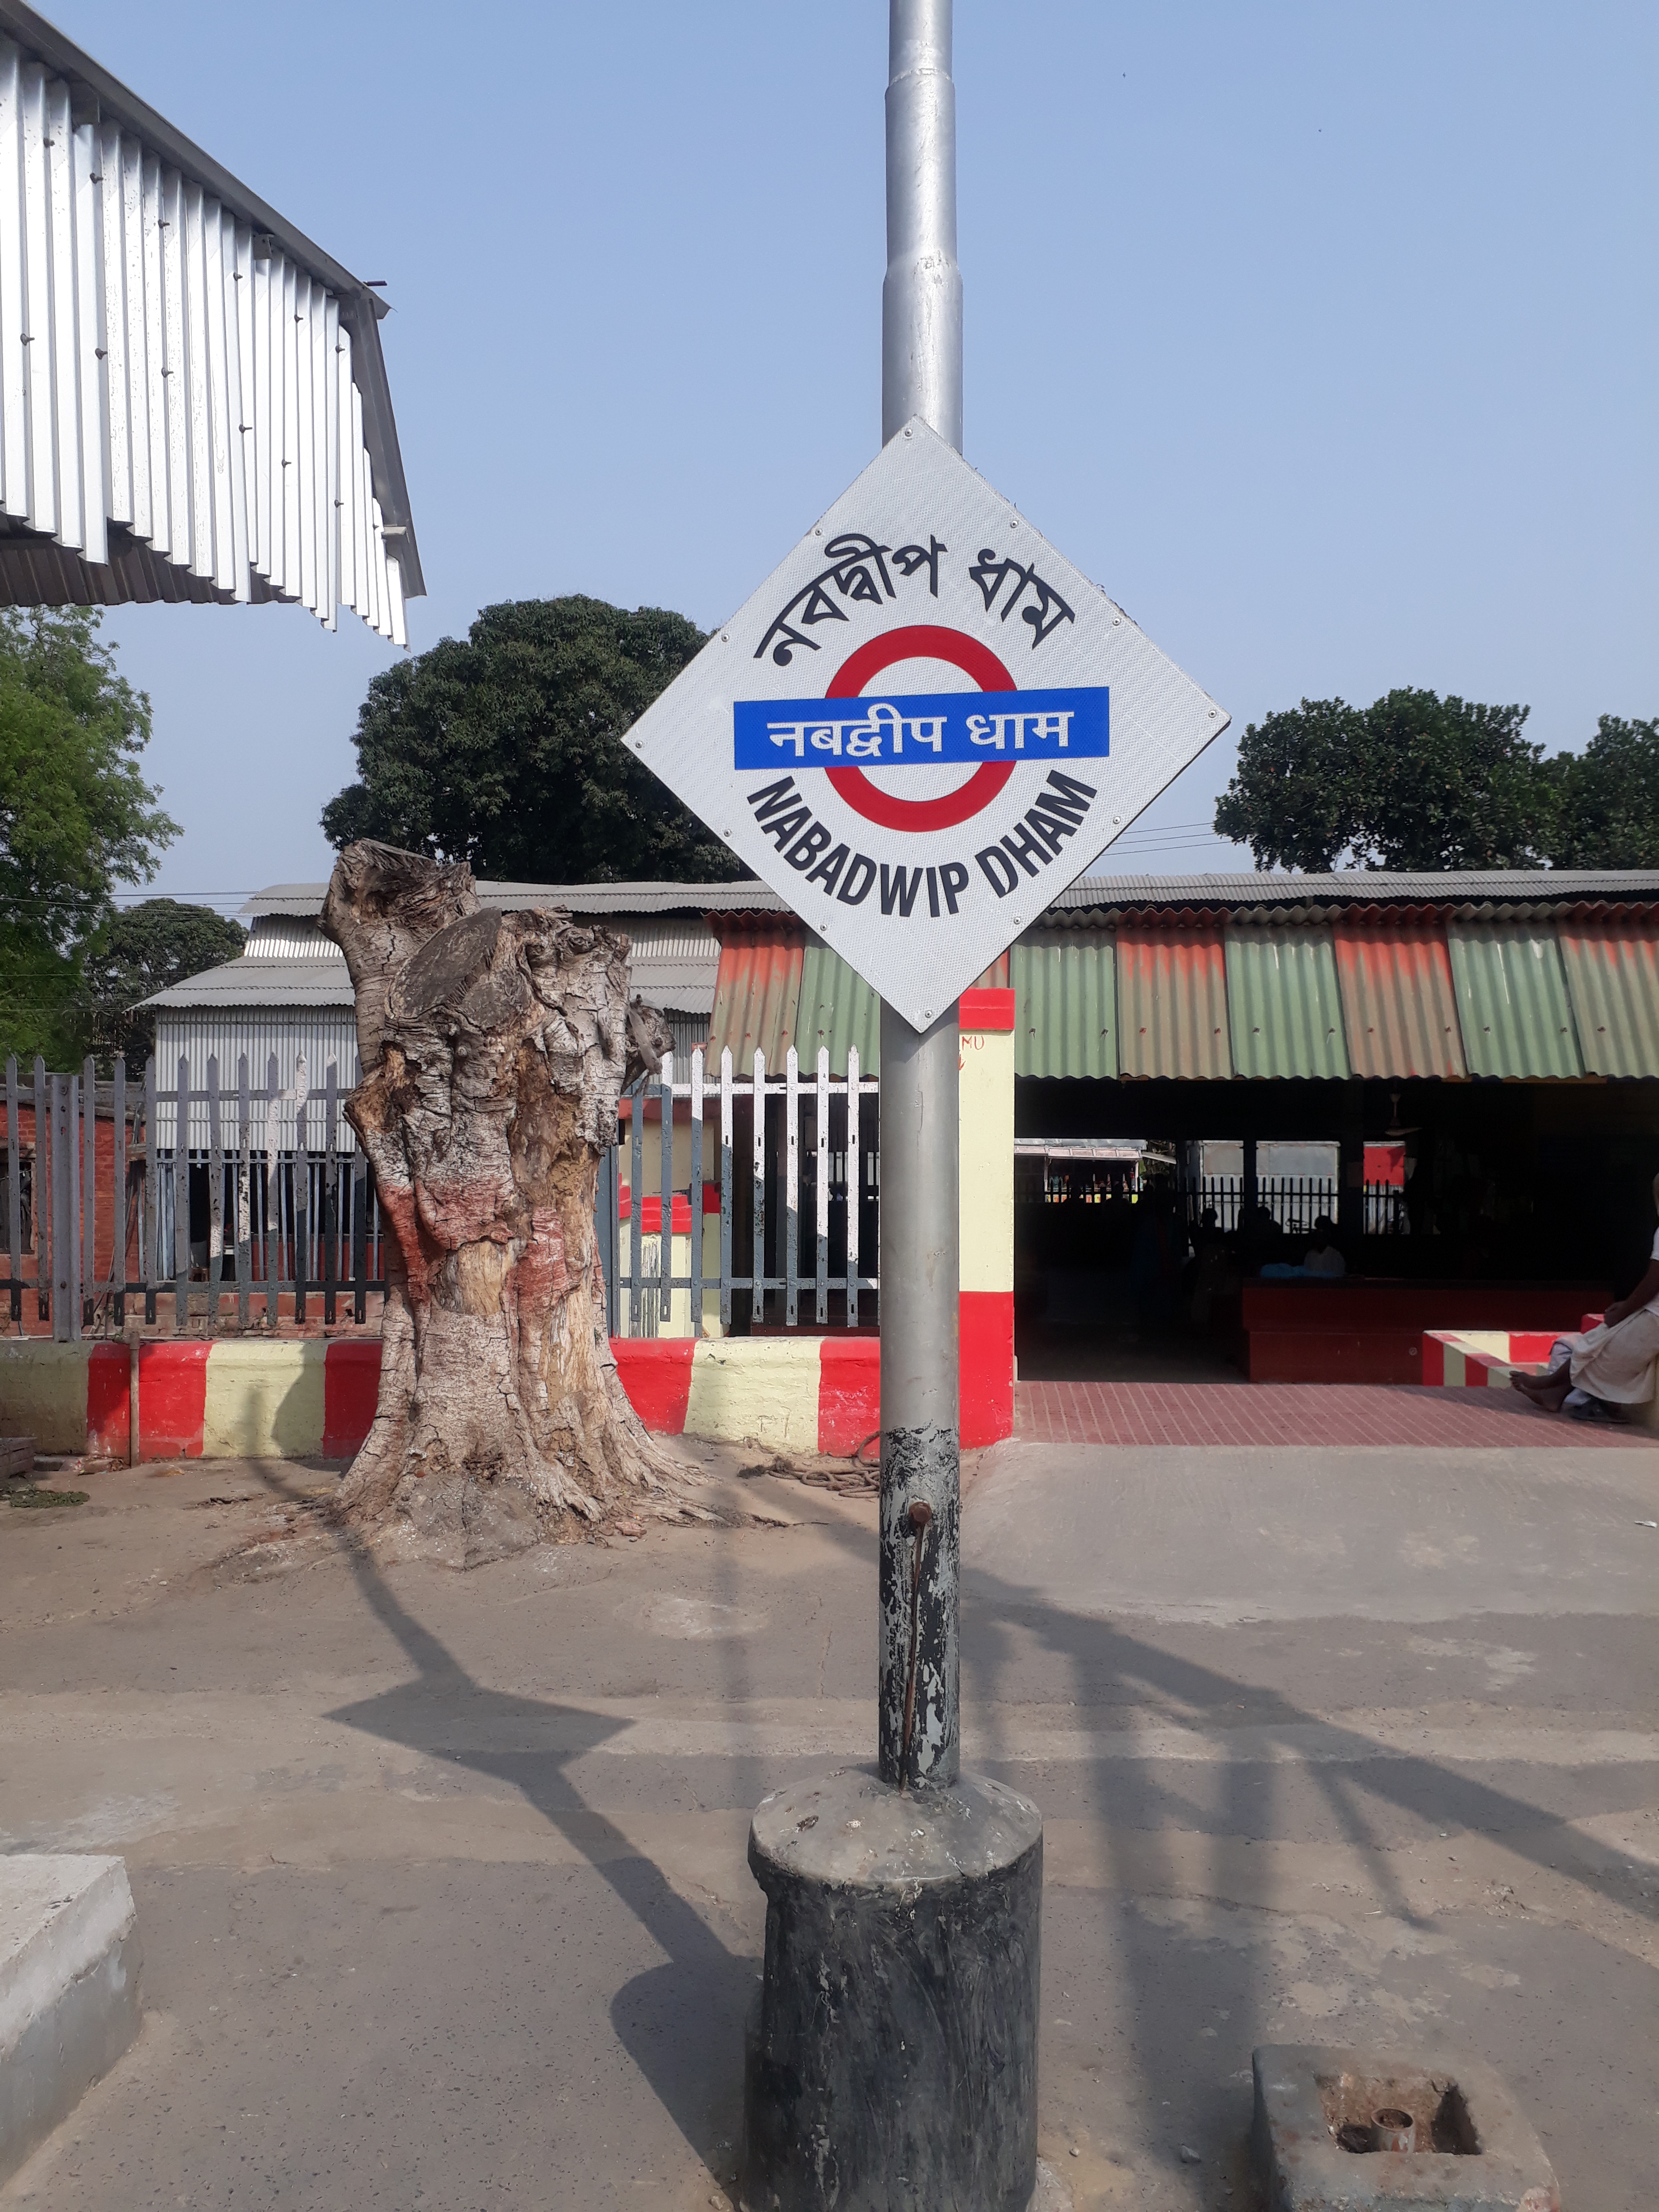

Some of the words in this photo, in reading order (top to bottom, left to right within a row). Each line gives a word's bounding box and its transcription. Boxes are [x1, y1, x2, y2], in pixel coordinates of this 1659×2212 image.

[746, 525, 948, 674] নবদ্বীপ
[953, 529, 1086, 659] ধাম
[764, 696, 956, 764] नबद्वीप
[958, 709, 1082, 754] धाम
[738, 772, 970, 924] NABADWIP
[969, 761, 1103, 903] DHAM